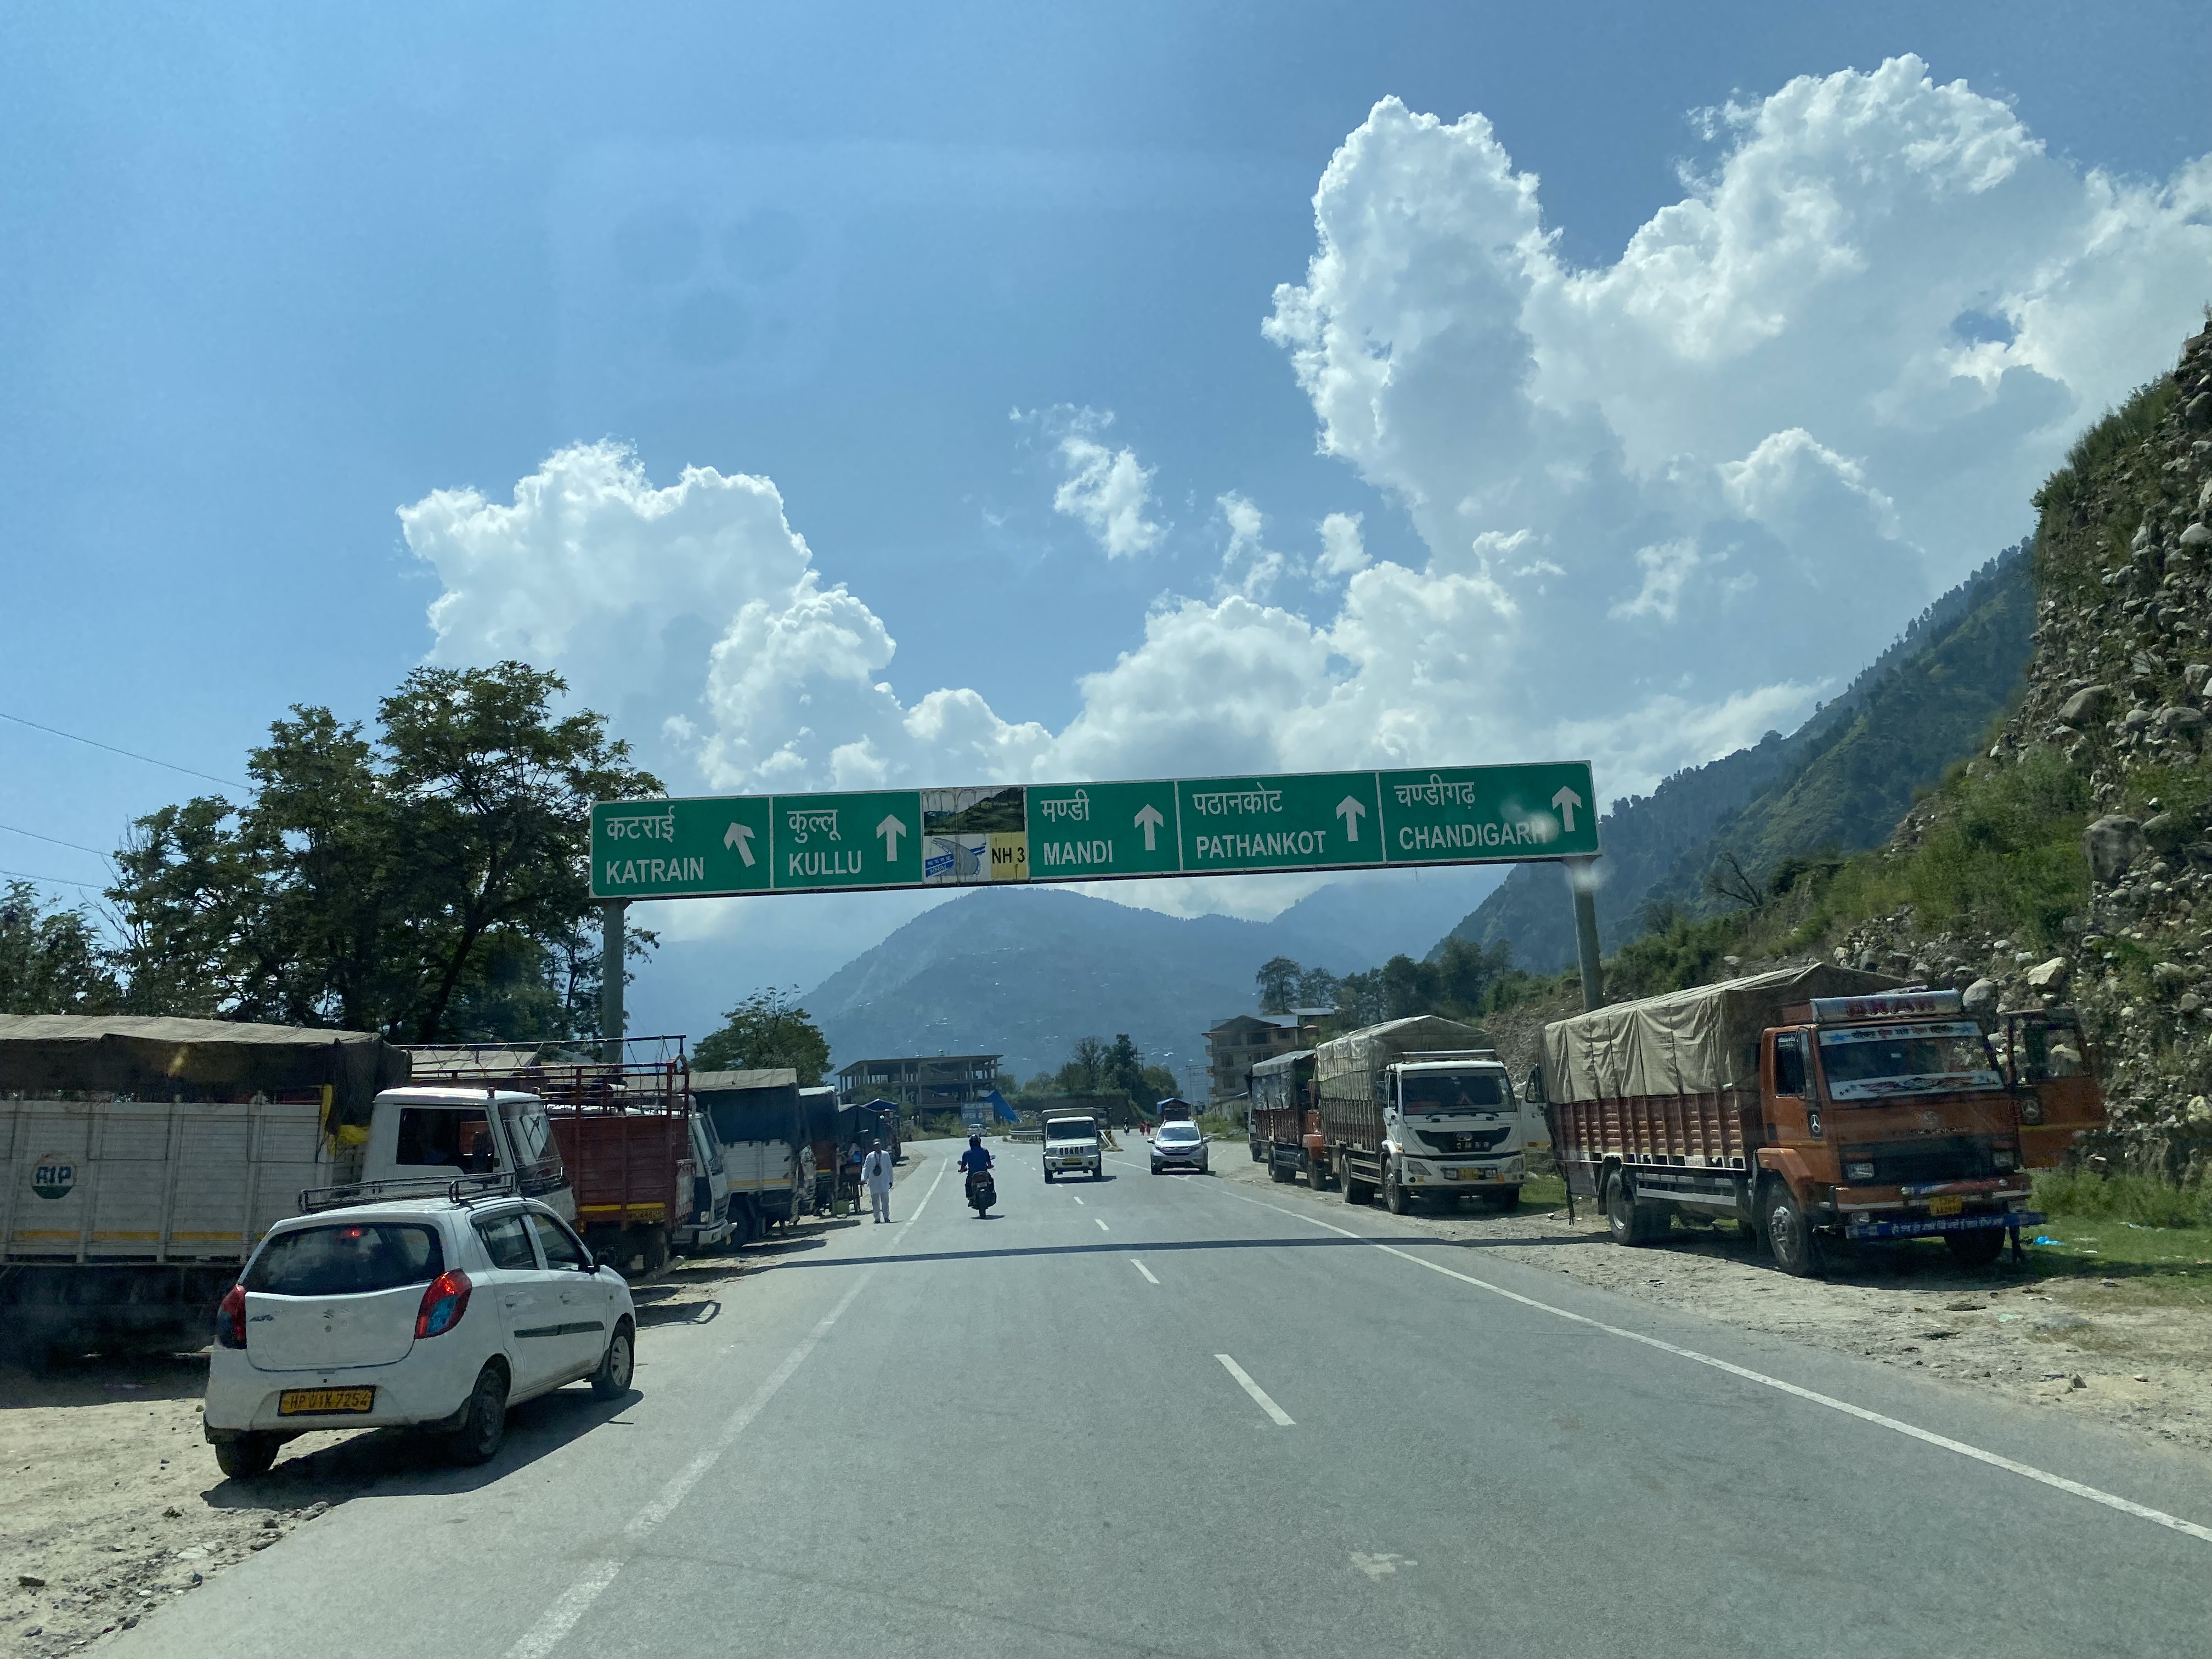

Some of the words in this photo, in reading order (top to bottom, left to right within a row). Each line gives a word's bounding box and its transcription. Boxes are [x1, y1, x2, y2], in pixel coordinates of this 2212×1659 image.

[1039, 782, 1093, 825] मण्डी
[1189, 780, 1285, 819] पठानकोट
[1389, 773, 1481, 811] चण्‍डीगढ़
[602, 801, 678, 845] कटराई
[600, 854, 708, 888] KATRAIN
[785, 809, 843, 845] कुल्लू
[786, 848, 865, 880] KULLU
[1040, 835, 1115, 867] MANDI
[1193, 828, 1328, 862] PATHANKOT
[1393, 817, 1550, 853] CHANDIGARH
[289, 1389, 373, 1412] HPU1K7254